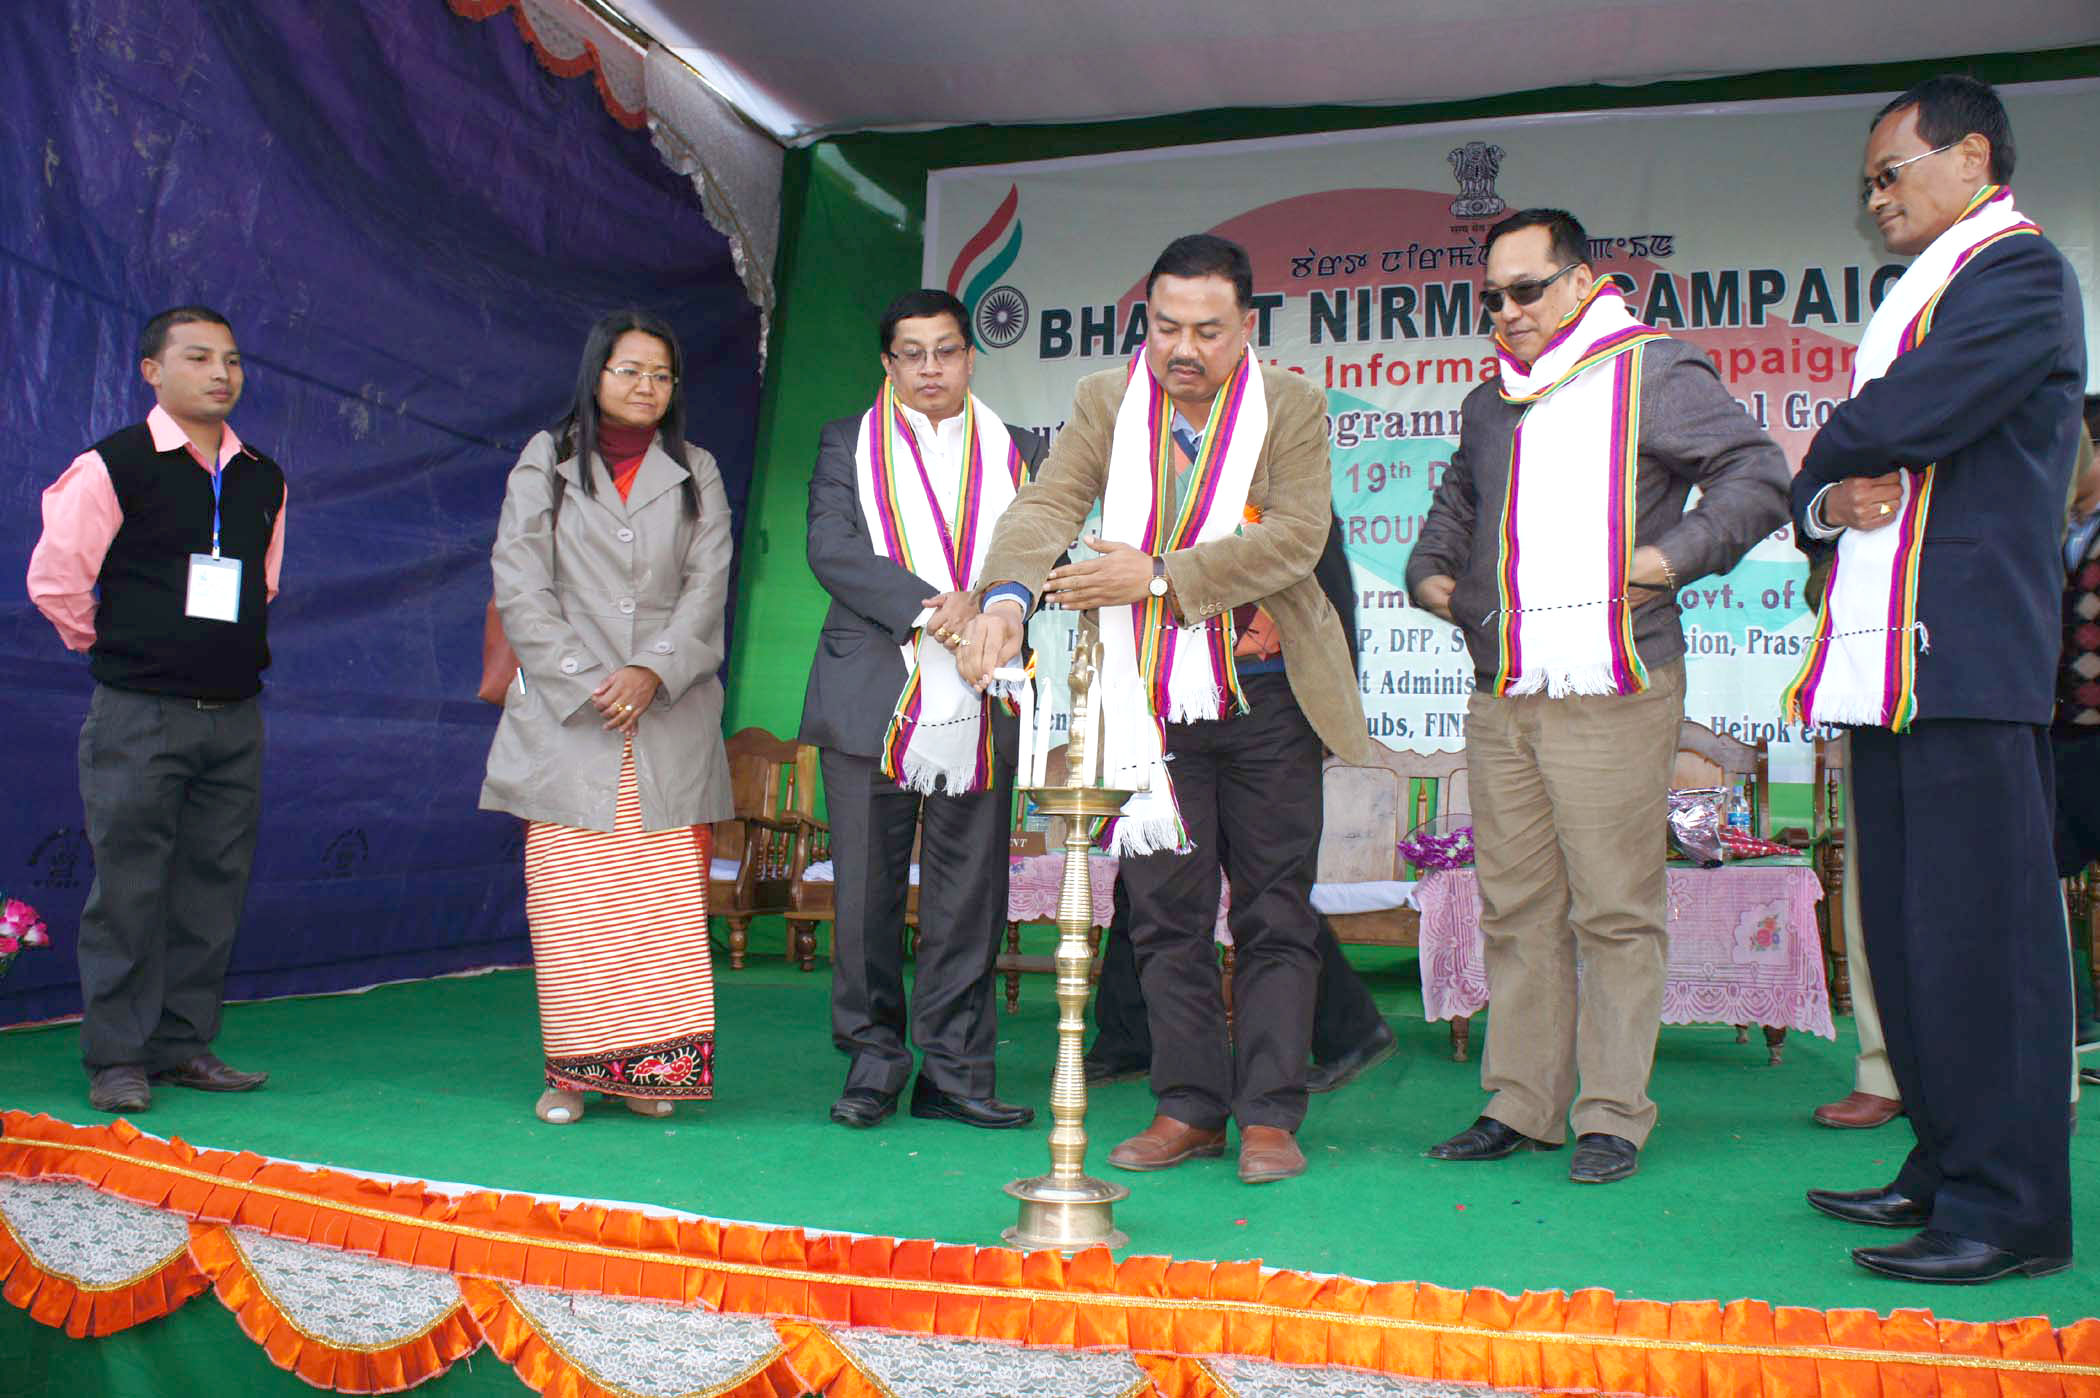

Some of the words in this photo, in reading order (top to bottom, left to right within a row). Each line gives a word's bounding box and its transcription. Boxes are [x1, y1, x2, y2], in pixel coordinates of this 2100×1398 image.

[1288, 243, 1369, 283] ꯕꯥꯔꯇ
[1378, 241, 1481, 277] ꯅꯤꯔꯃ
[1443, 211, 1481, 240] सत्य
[1624, 232, 1676, 260] ꯏꯟ
[1629, 247, 1896, 337] AMPAI
[1033, 293, 1148, 363] BHA
[1301, 277, 1487, 350] NIRM
[1314, 341, 1508, 397] Informa
[1716, 328, 1859, 391] paigr
[1329, 403, 1462, 448] gram
[1785, 389, 1839, 435] GO
[1344, 454, 1418, 496] 19th
[1342, 509, 1421, 549] ROU
[1674, 579, 1736, 615] ovt
[1753, 570, 1800, 619] of
[1384, 621, 1434, 657] DFP
[1746, 625, 1808, 657] Prasa
[1377, 661, 1487, 700] Adminis
[1419, 705, 1466, 748] FIN
[1701, 705, 1796, 747] Heirok